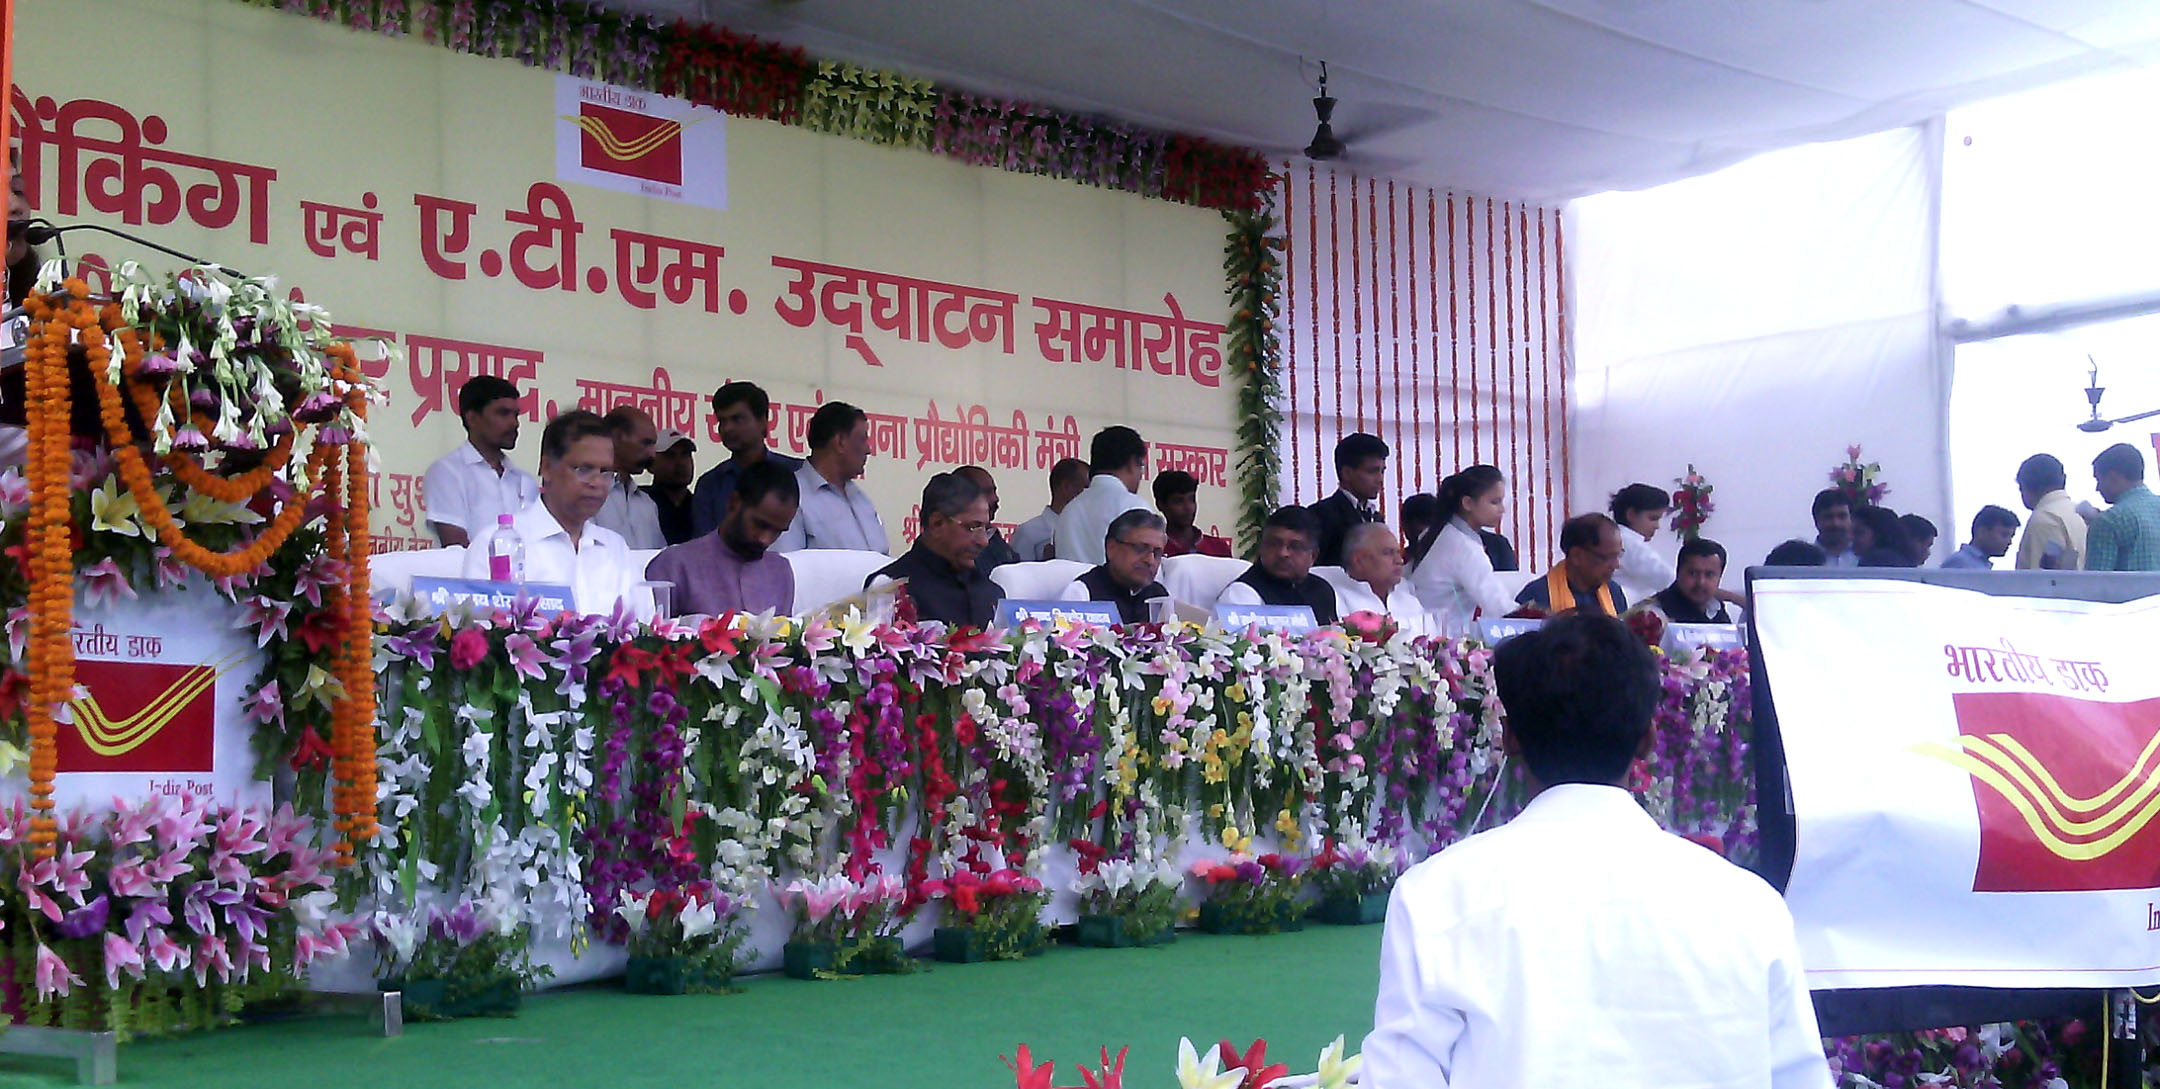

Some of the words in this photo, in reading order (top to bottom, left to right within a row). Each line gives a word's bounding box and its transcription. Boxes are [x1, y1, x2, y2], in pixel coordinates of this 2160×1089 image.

[575, 78, 625, 107] भारतीय
[620, 86, 653, 115] अक
[8, 74, 279, 248] बैंकिंग
[297, 183, 389, 266] एवं
[406, 325, 562, 429] प्रसाद.
[406, 171, 613, 304] ए.टी.
[569, 359, 700, 442] नीय
[606, 222, 753, 322] एम.
[860, 410, 910, 465] ना
[769, 249, 1023, 369] उद्घाटन
[910, 390, 1037, 475] प्रौद्योगिकी
[1027, 407, 1084, 479] मंत्री
[1031, 285, 1233, 390] समारोह
[1153, 439, 1232, 492] सरकार
[68, 617, 125, 659] रतीय
[123, 632, 164, 660] डाक
[1942, 629, 2058, 691] भारतीय
[2053, 654, 2115, 698] डाक